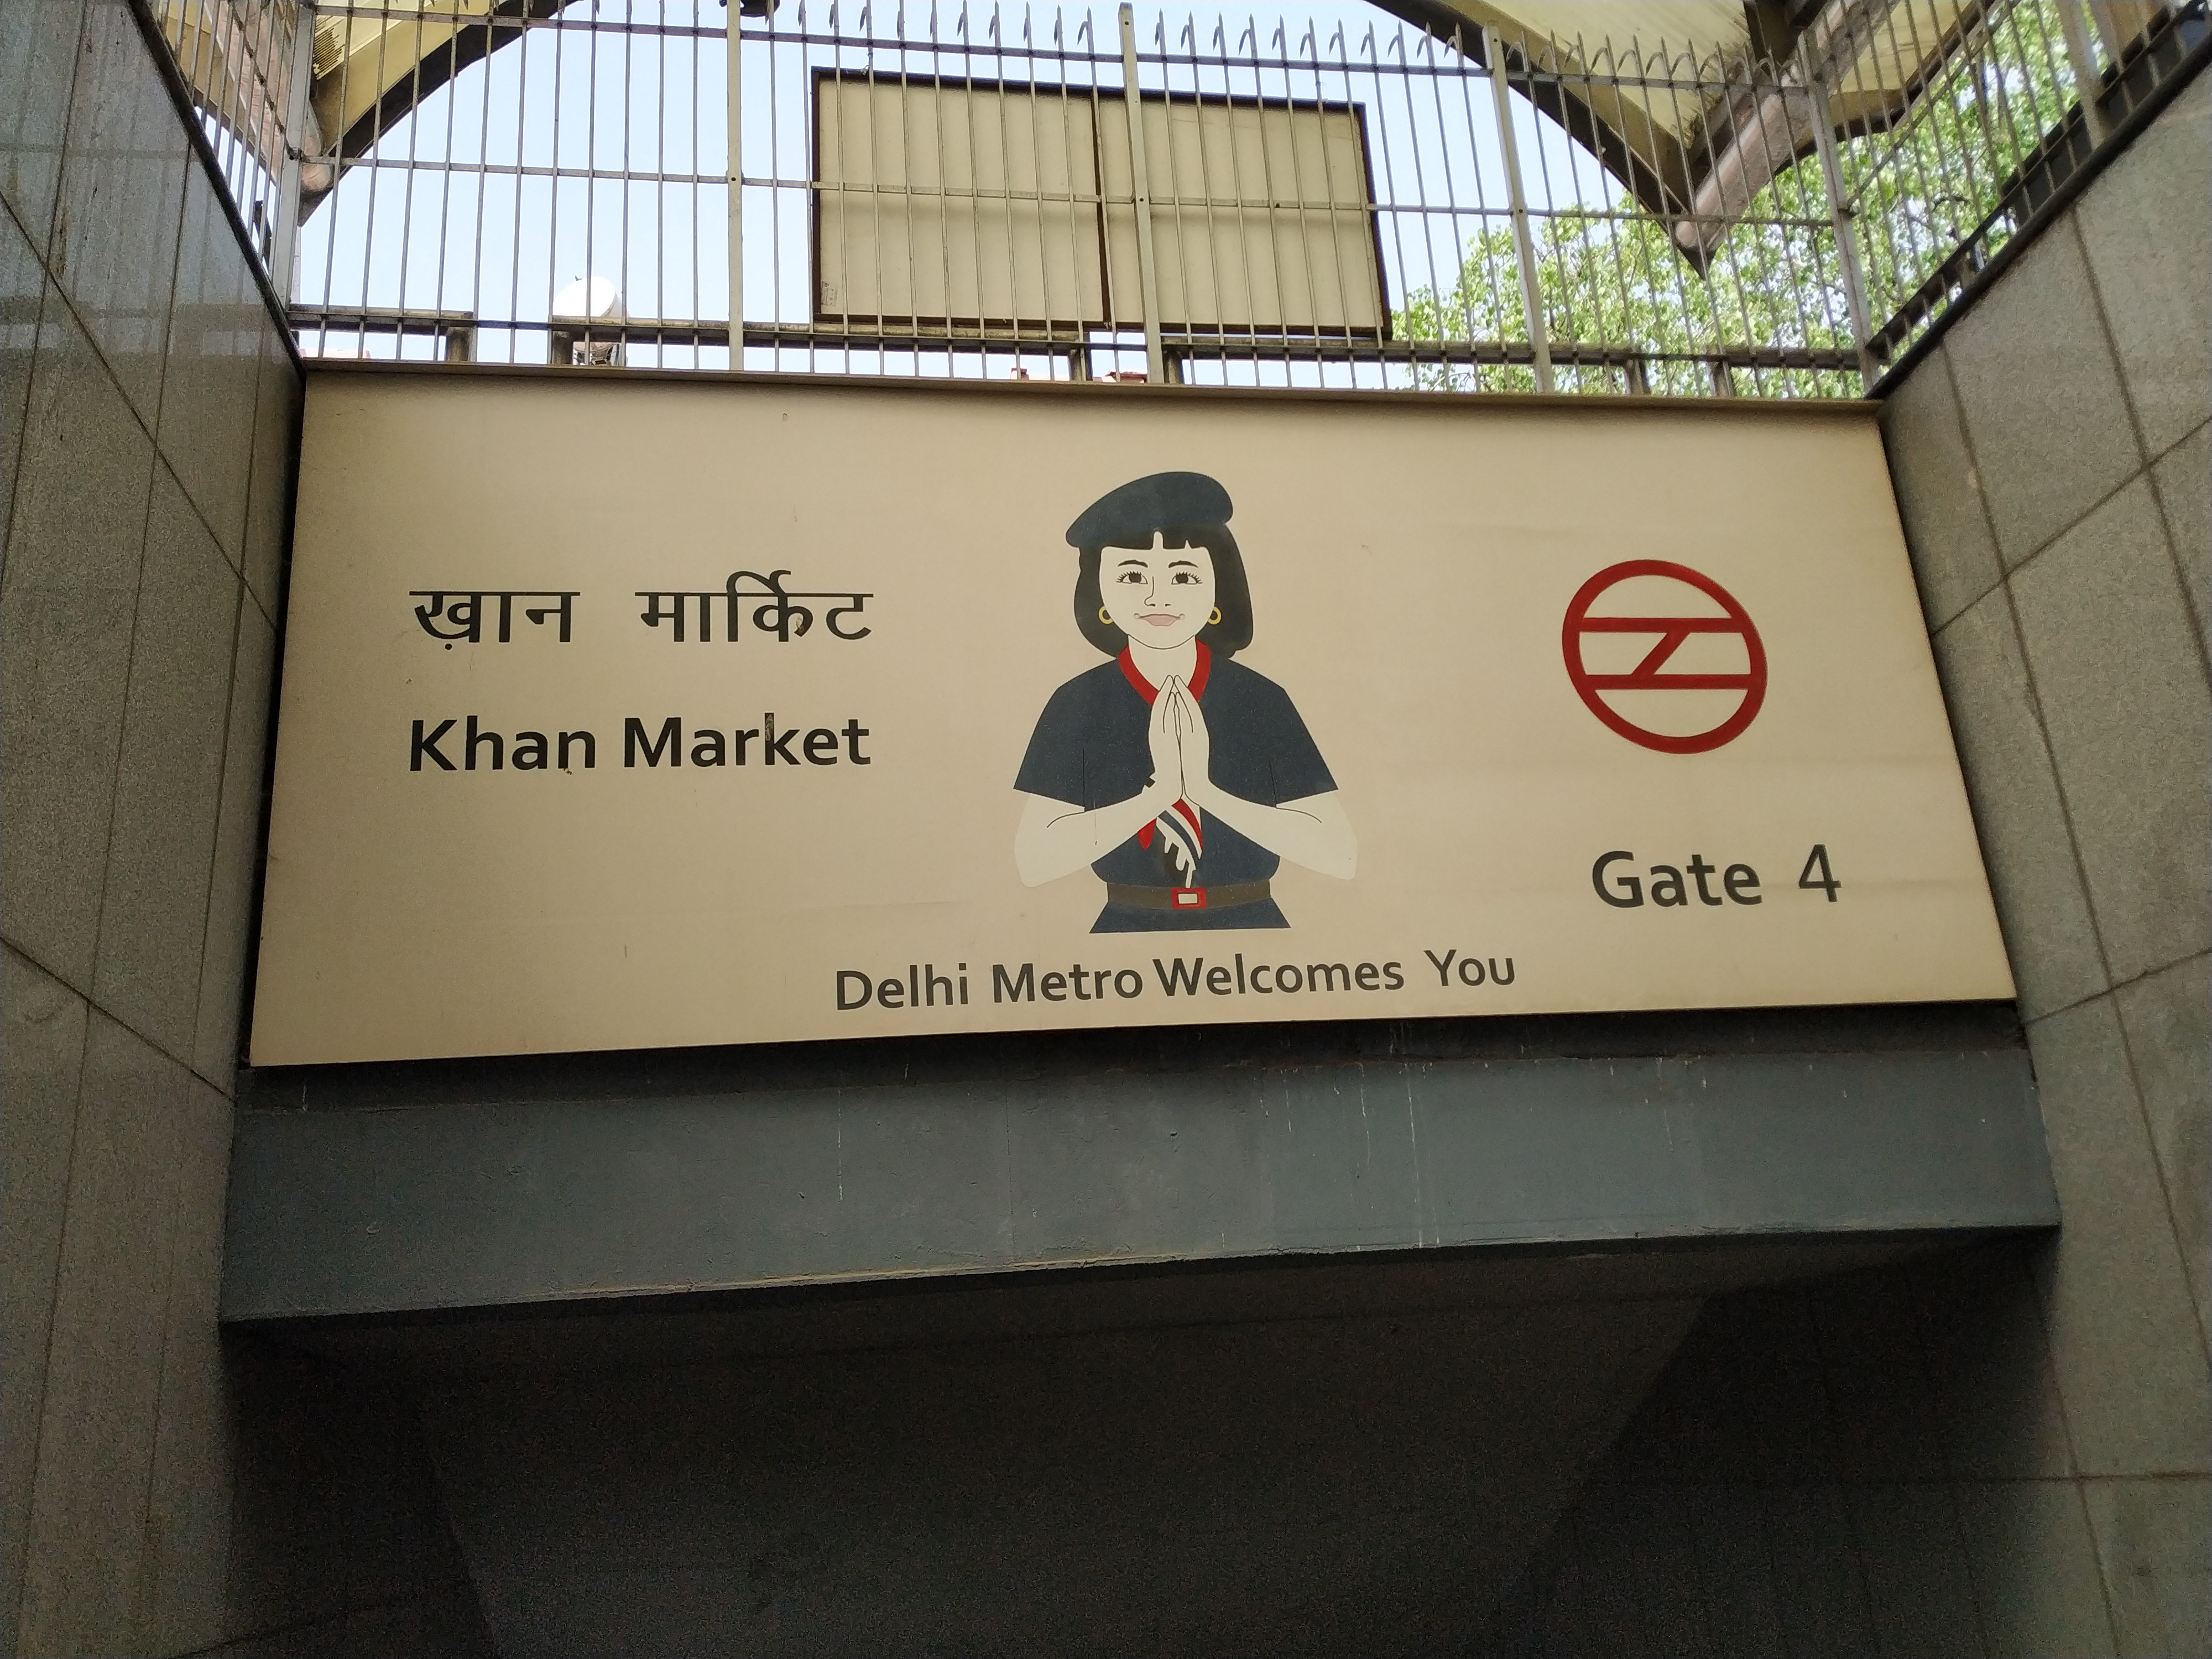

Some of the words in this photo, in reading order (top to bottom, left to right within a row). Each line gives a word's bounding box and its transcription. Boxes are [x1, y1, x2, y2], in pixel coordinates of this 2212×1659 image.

[408, 584, 584, 657] ख़ान
[635, 563, 876, 648] मार्किट
[407, 707, 601, 774] Khan
[622, 709, 878, 773] Market
[1585, 847, 1766, 912] Gate
[1784, 836, 1855, 913] 4
[832, 958, 971, 1015] Delhi
[992, 960, 1147, 1005] Metro
[1149, 949, 1409, 1001] Welcomes
[1423, 949, 1519, 992] YOU